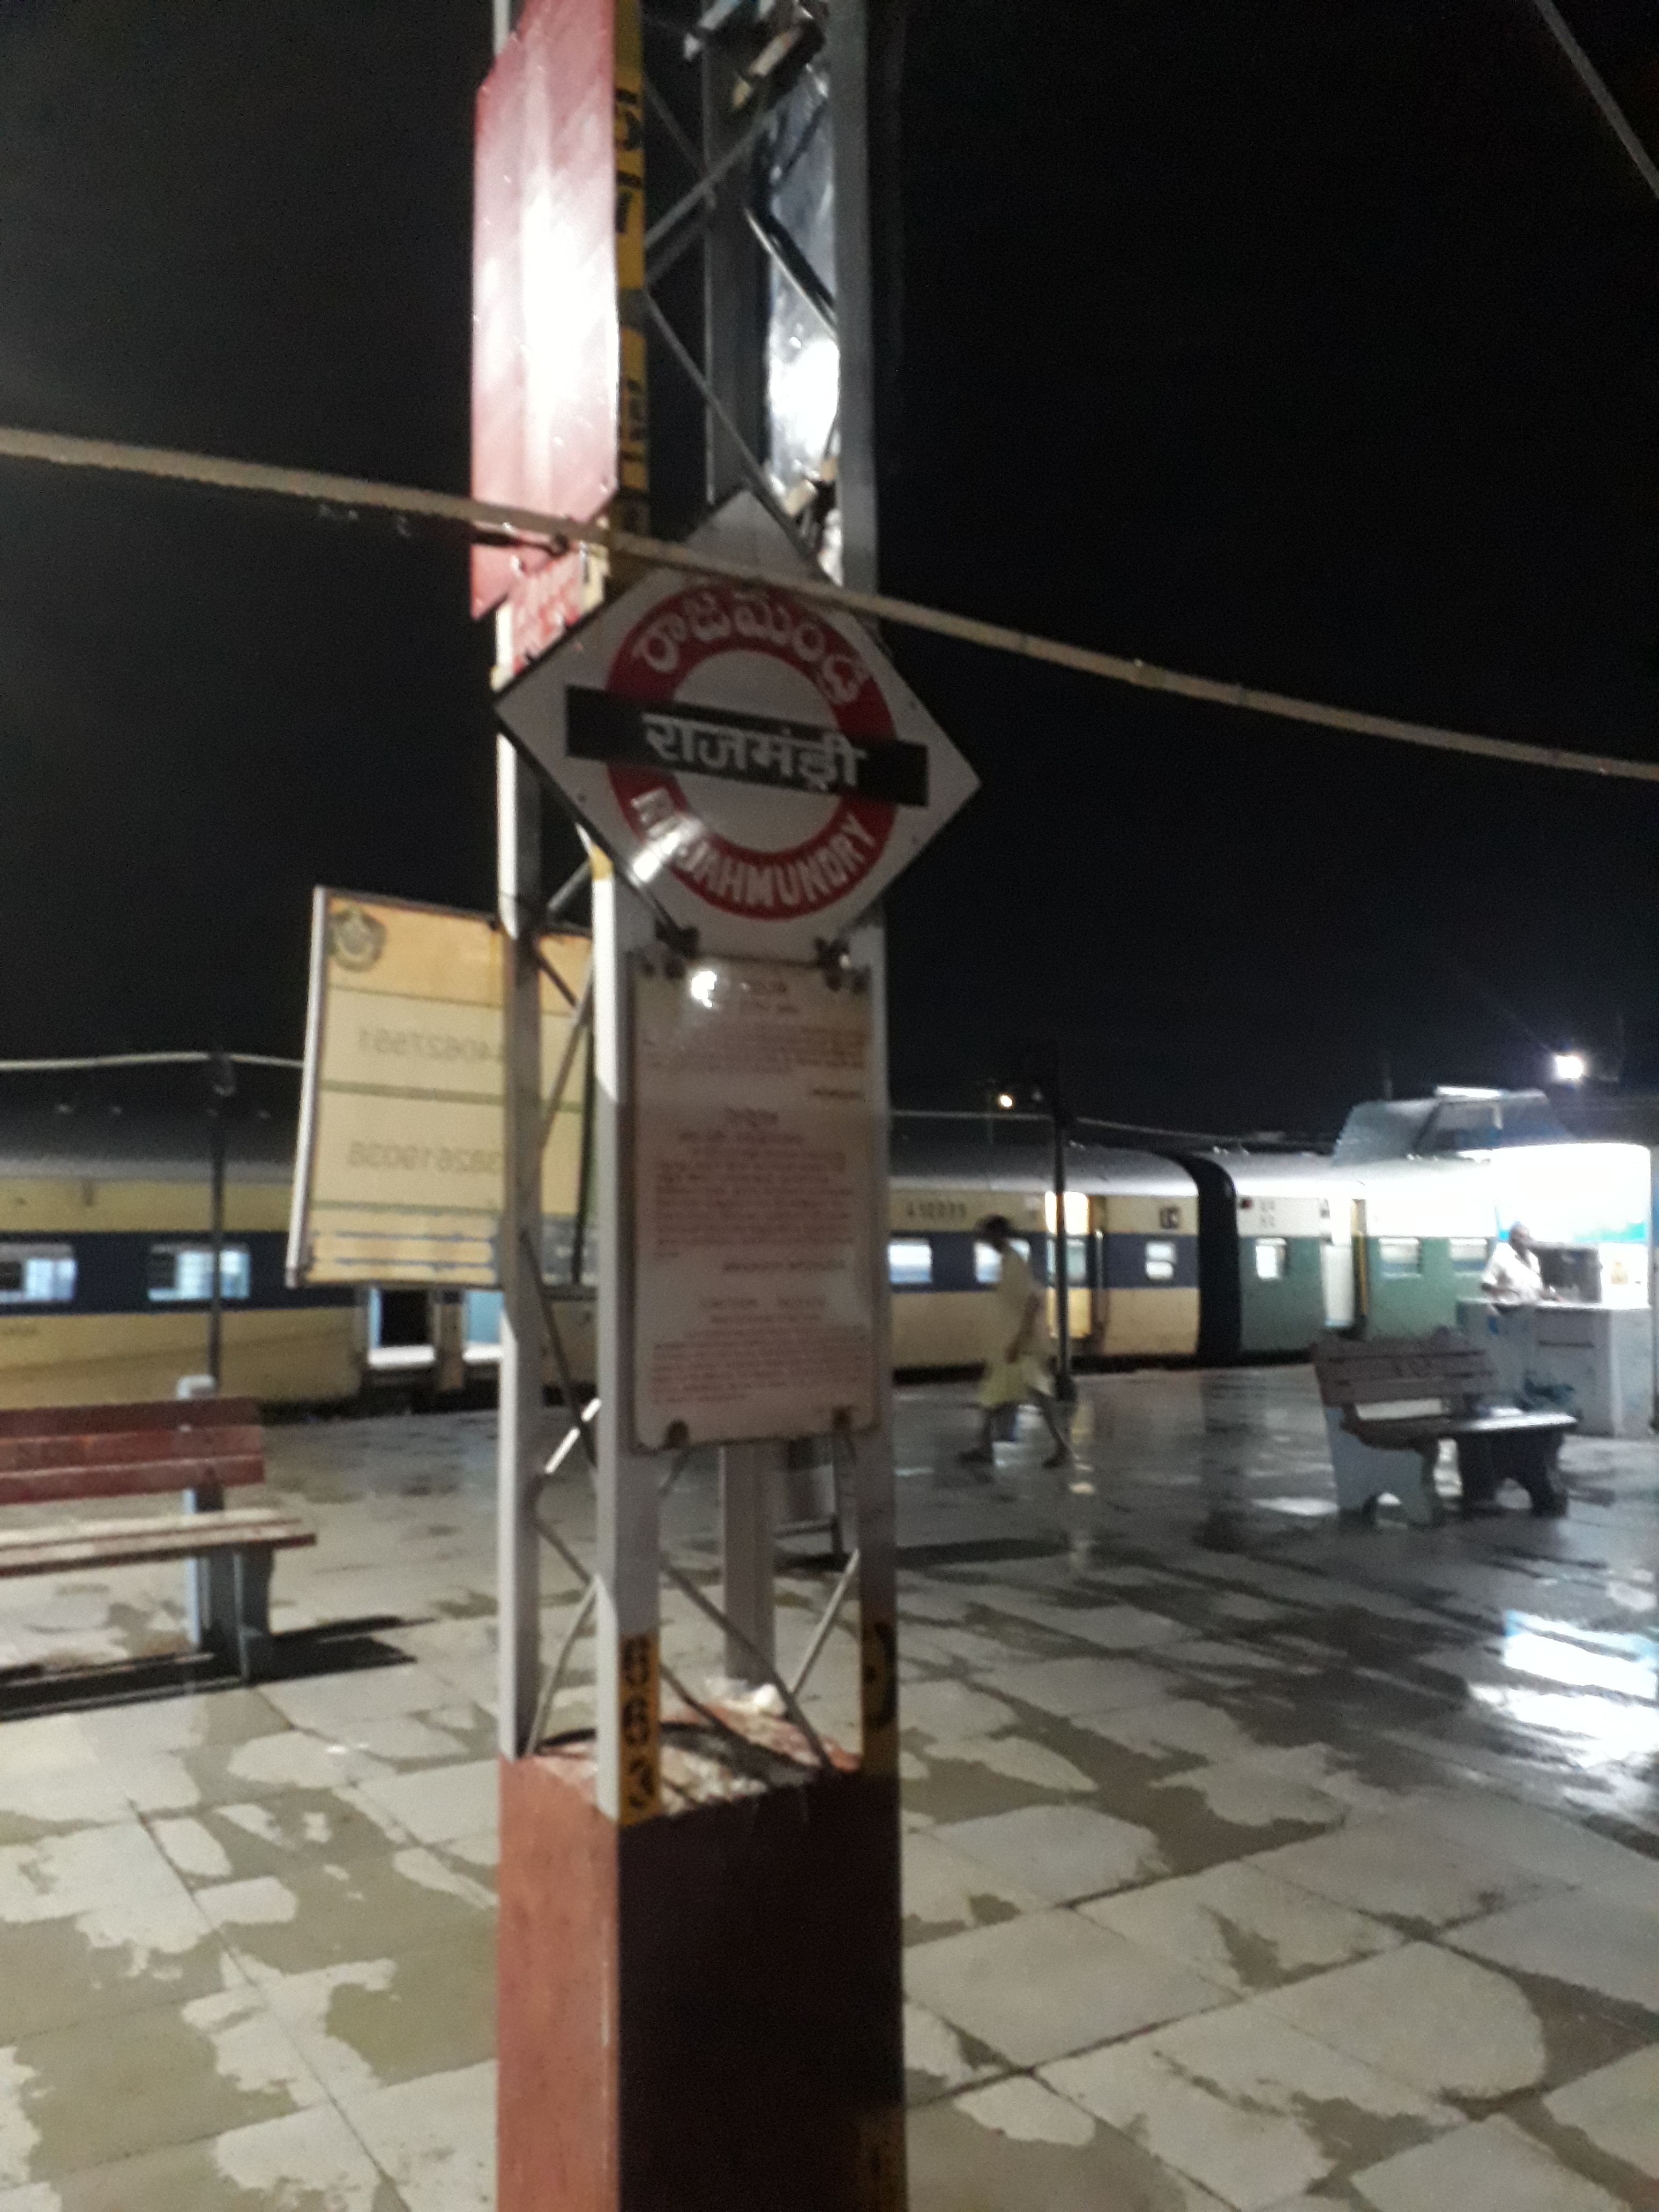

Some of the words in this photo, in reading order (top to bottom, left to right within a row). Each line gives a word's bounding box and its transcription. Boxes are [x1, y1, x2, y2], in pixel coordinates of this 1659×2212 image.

[625, 581, 879, 714] రాజమండ్
[639, 706, 875, 797] राजमंड्री
[618, 777, 888, 917] RAJAHMUNDRY